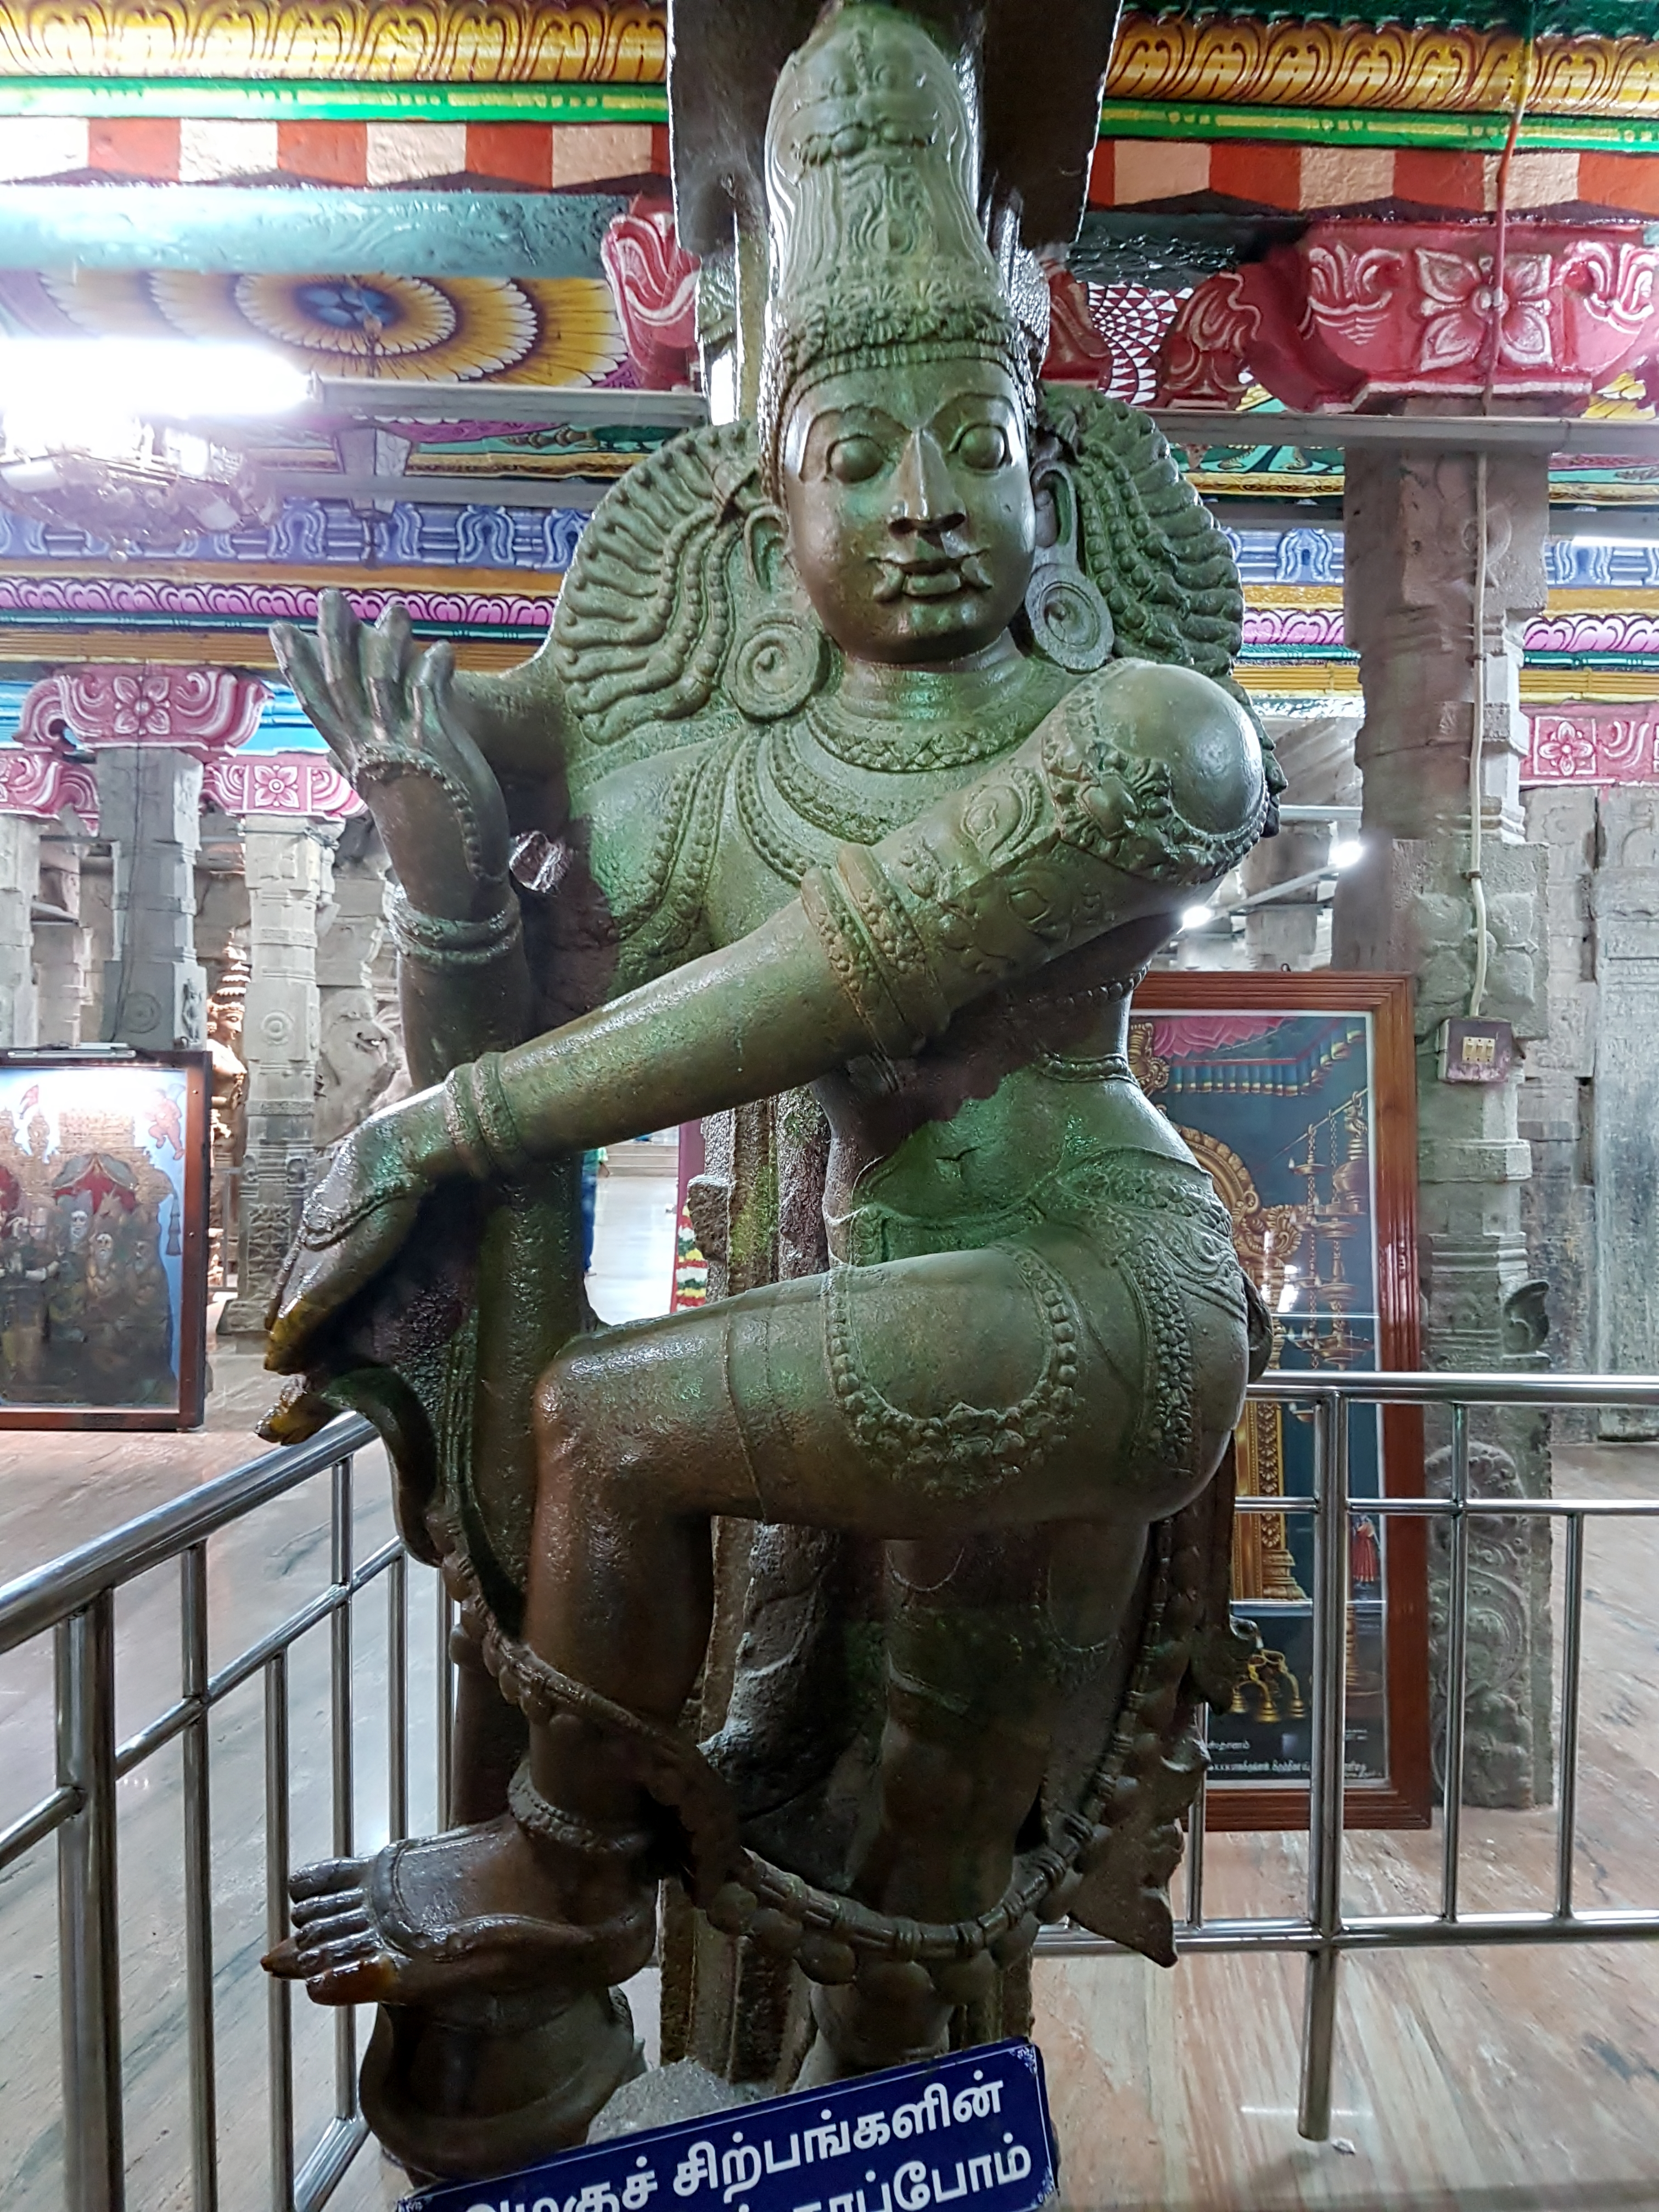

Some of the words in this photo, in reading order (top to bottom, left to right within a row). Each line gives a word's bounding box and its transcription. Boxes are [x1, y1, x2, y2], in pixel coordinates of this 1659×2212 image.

[670, 2066, 1011, 2208] சிற்பங்களின்
[834, 2129, 1038, 2209] போம்